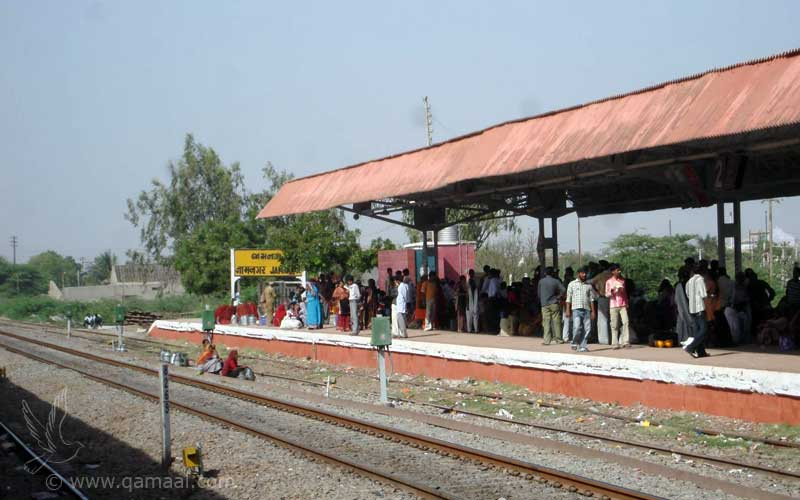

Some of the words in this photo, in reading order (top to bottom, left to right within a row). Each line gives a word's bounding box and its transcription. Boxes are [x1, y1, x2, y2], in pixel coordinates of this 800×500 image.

[231, 261, 268, 276] જ્ઞામનગર
[44, 472, 62, 492] C
[66, 472, 117, 493] WWW
[120, 475, 194, 493] qamaal,
[191, 472, 240, 493] ઉમદ